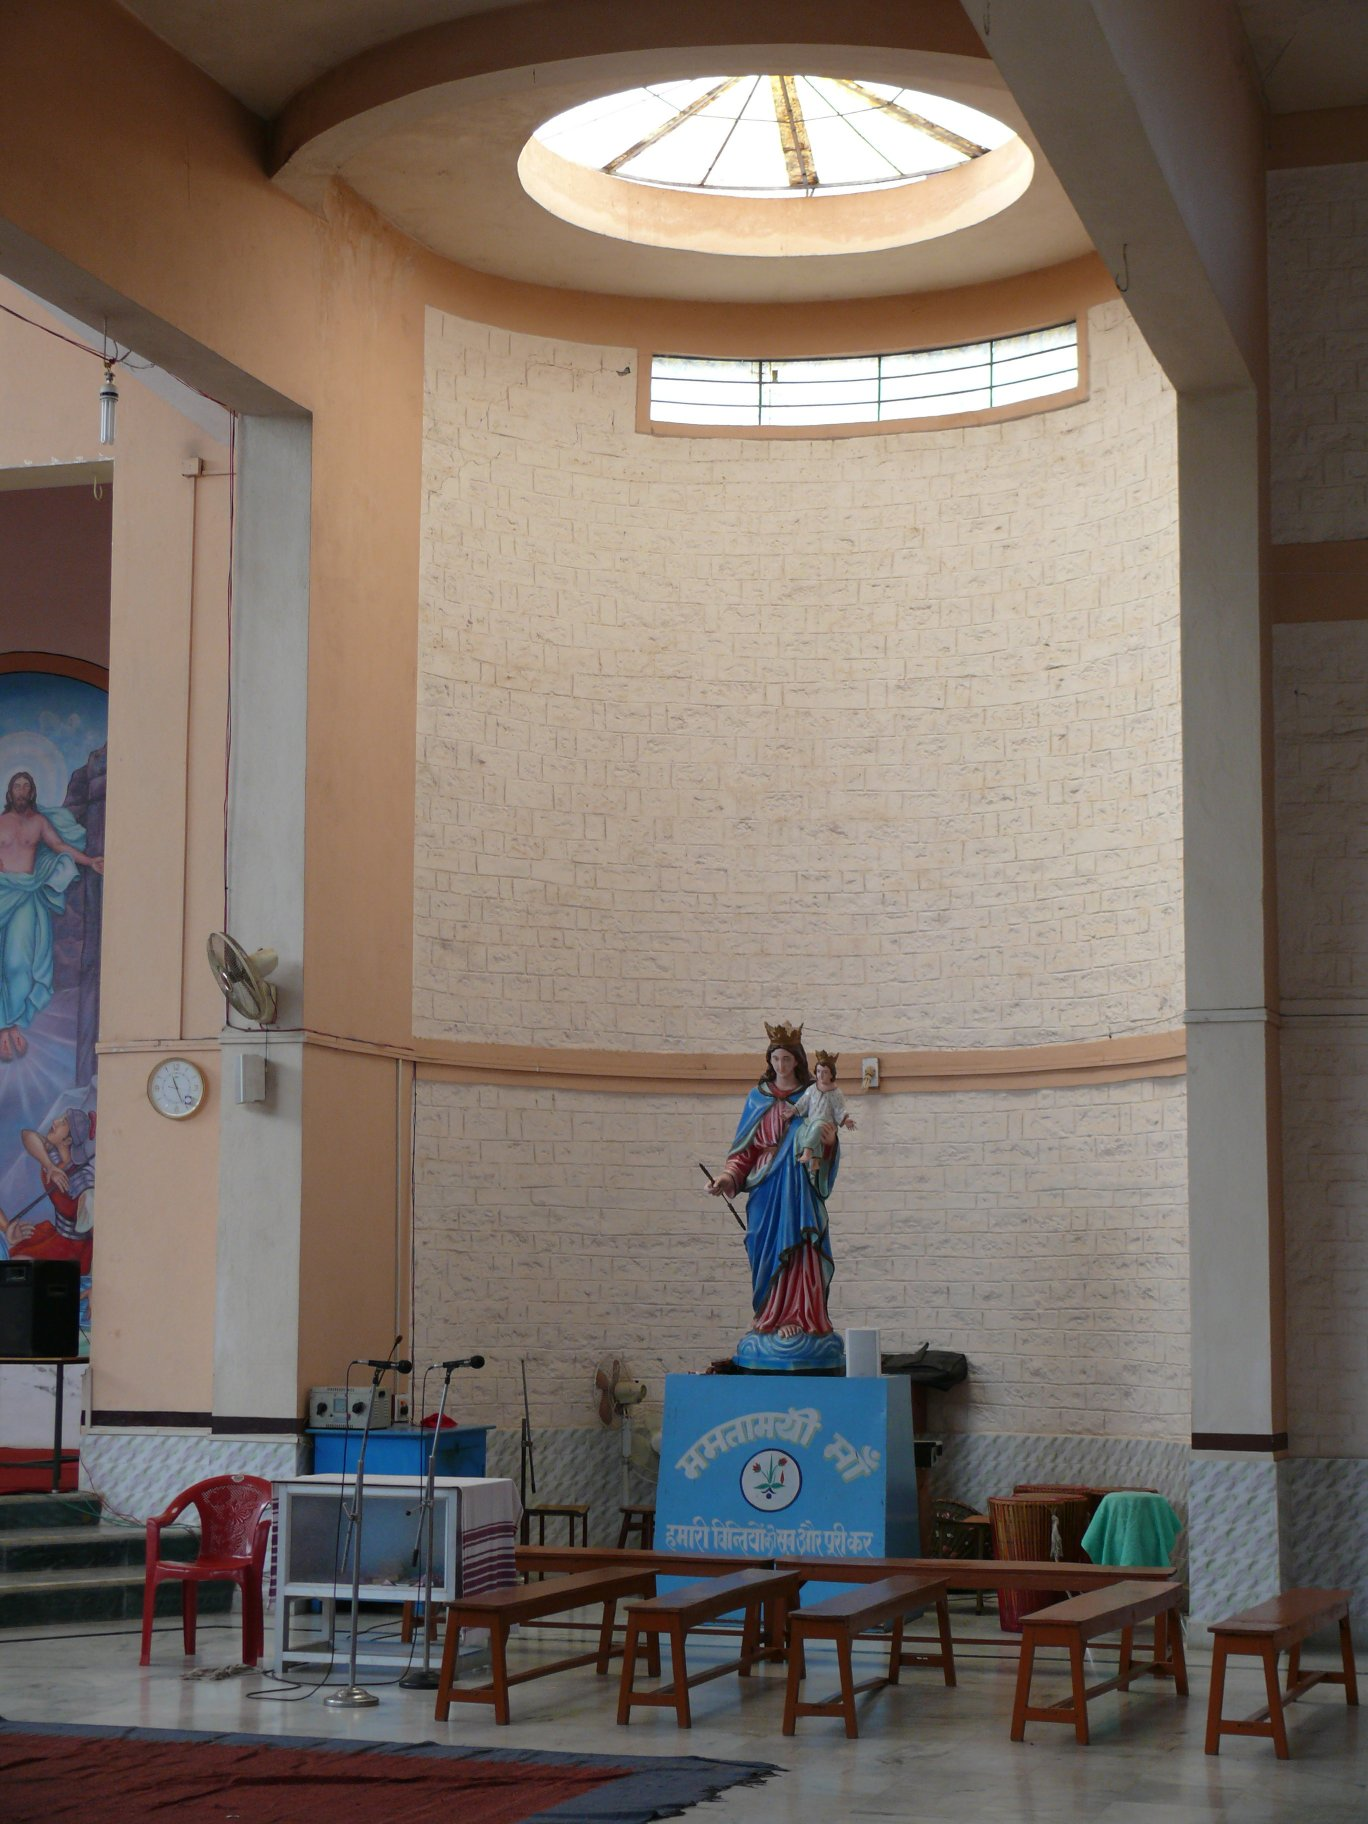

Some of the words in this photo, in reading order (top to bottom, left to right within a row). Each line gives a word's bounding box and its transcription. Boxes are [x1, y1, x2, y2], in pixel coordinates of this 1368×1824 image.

[674, 1404, 823, 1483] ममतामयी
[819, 1428, 882, 1486] माँ
[661, 1511, 710, 1555] हमारी
[705, 1516, 768, 1559] विन्तियों
[761, 1521, 780, 1558] को
[773, 1526, 798, 1557] सन
[796, 1519, 825, 1559] और
[823, 1519, 849, 1559] पूरी
[845, 1529, 877, 1561] कर